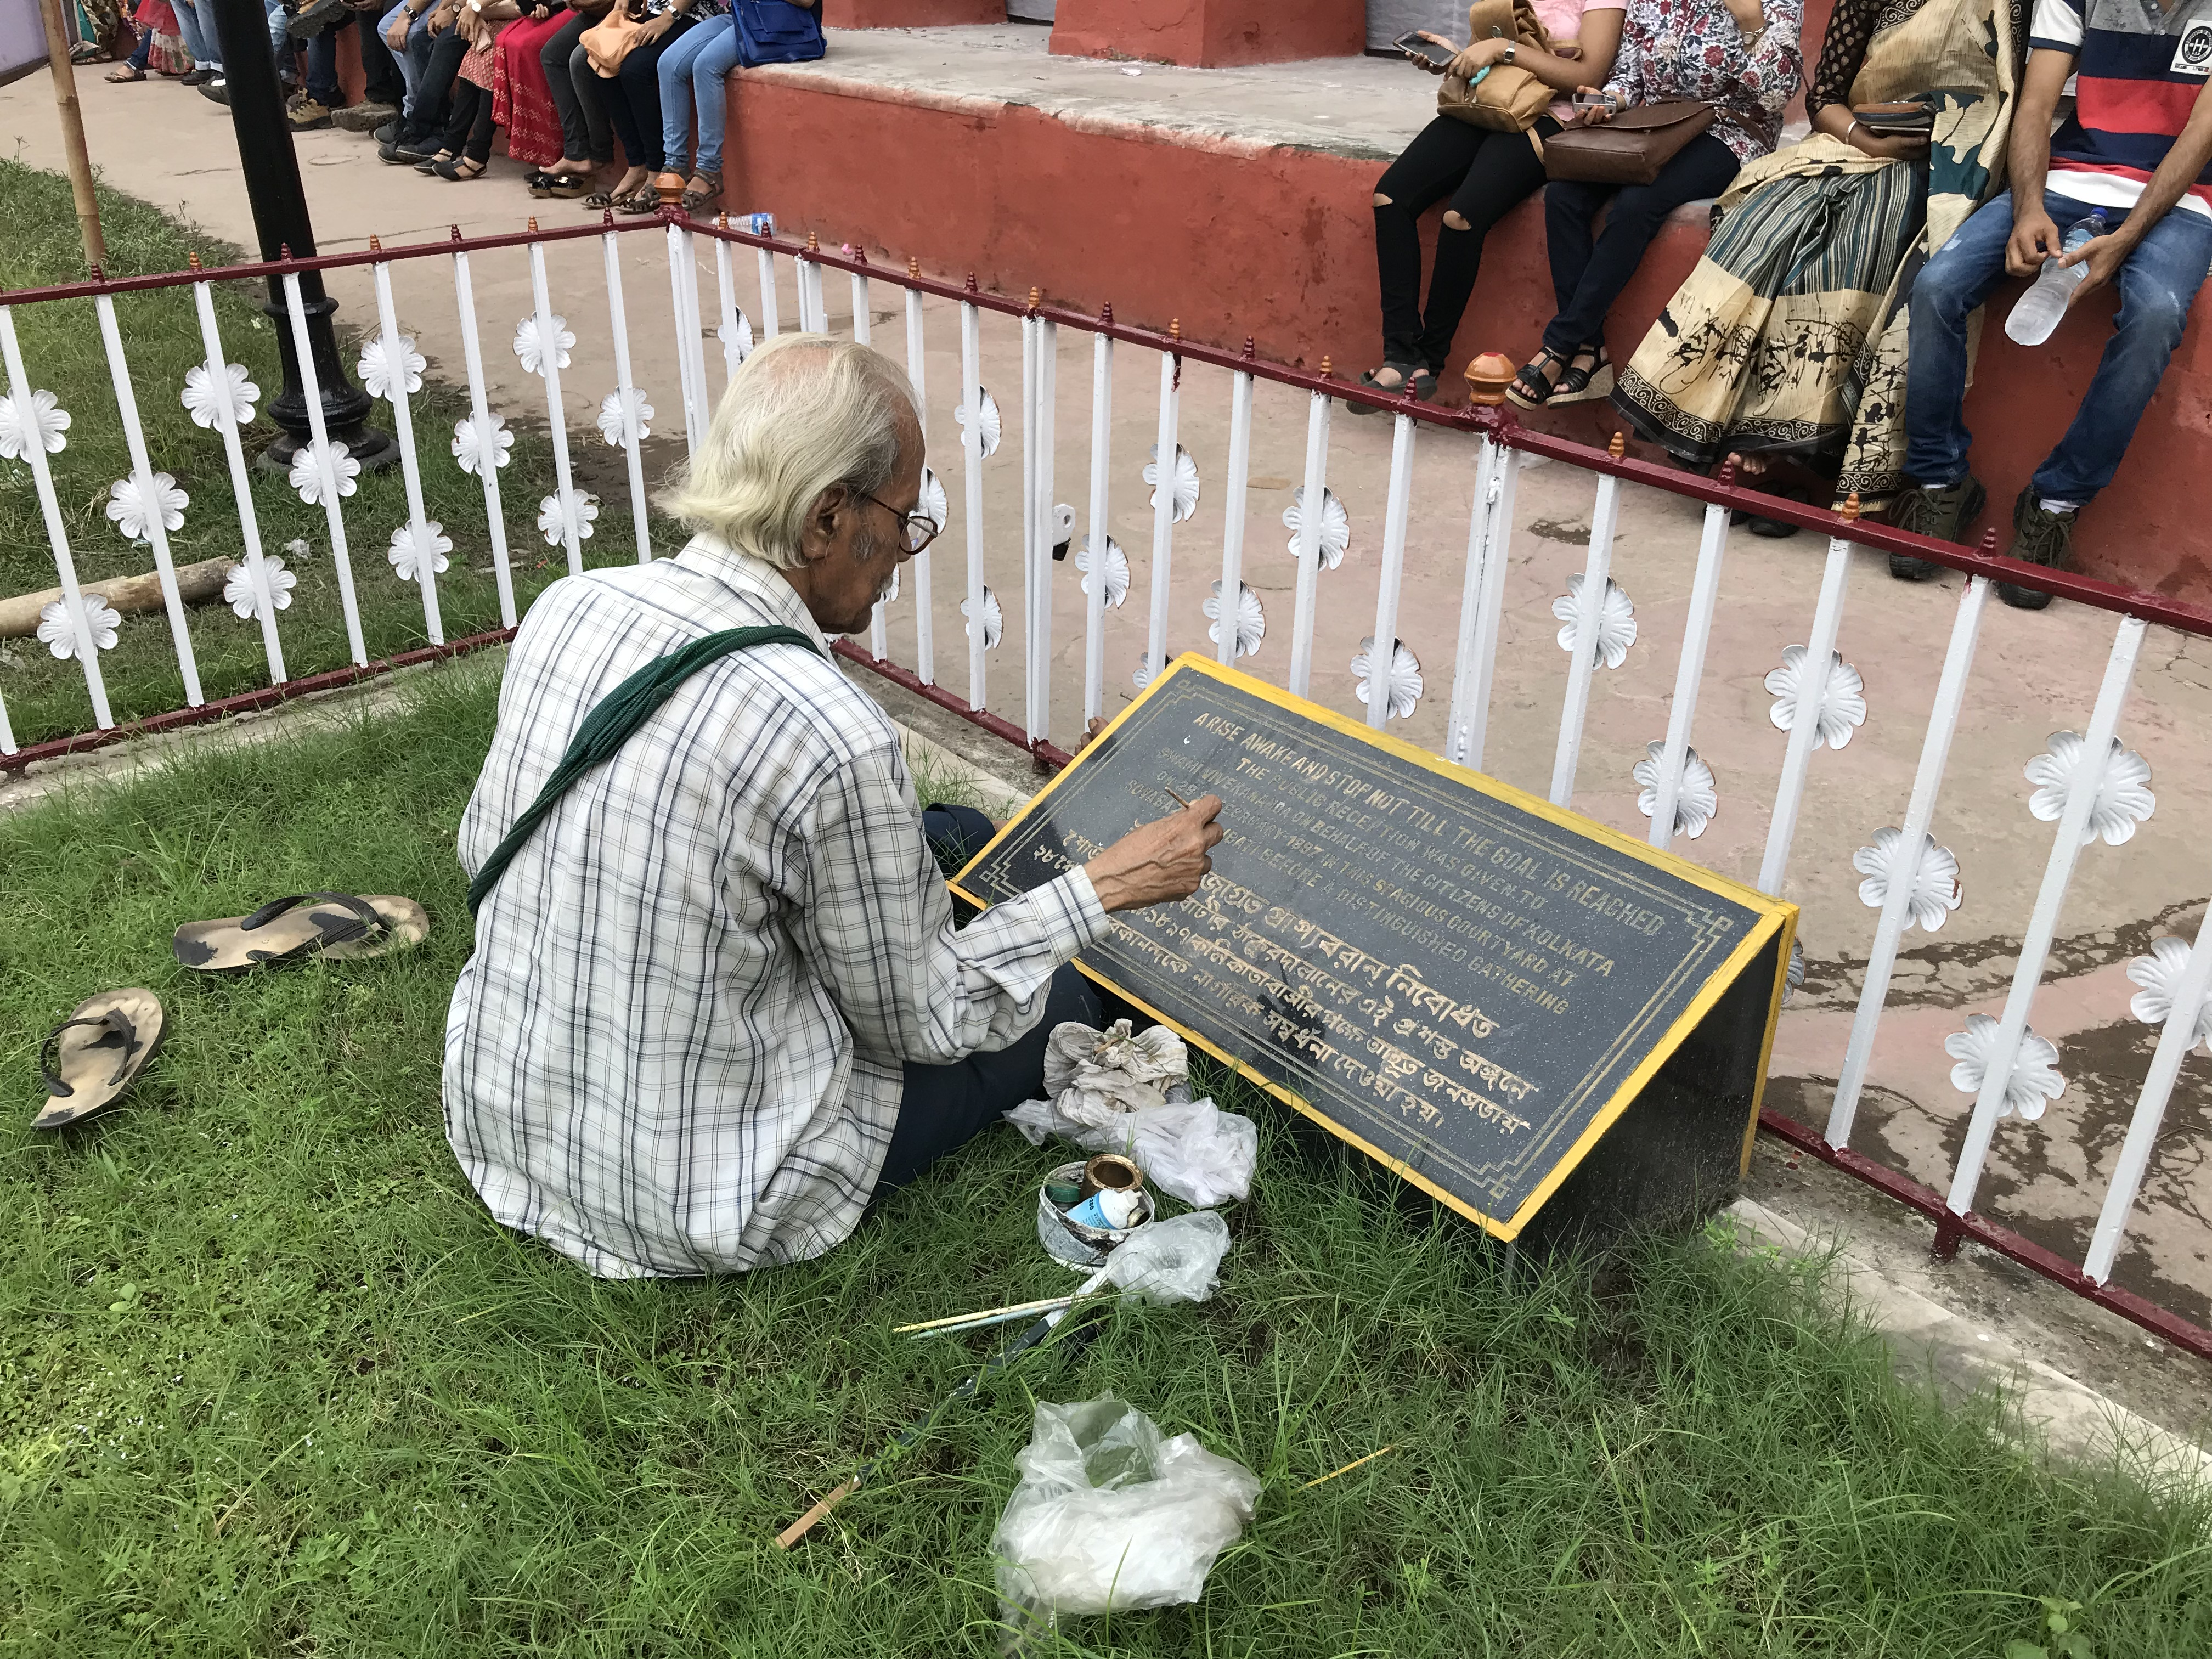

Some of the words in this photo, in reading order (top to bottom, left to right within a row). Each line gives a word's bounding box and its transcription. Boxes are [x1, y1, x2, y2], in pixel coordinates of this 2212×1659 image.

[1103, 913, 1197, 980] বকানন্দকে
[1150, 745, 1207, 782] SWAMI
[1176, 888, 1238, 936] বাটার
[1183, 703, 1248, 748] ARISE
[1187, 962, 1270, 1023] নাগরিক
[1189, 865, 1276, 925] জাগ্রত
[1197, 760, 1299, 823] VIVEKANANDA
[1224, 751, 1273, 784] THE
[1212, 792, 1291, 845] FEBRUARY
[1181, 927, 1324, 1024] কলিকাতাবাসীর
[1237, 727, 1301, 770] AWAKE
[1252, 844, 1327, 892] BEFORE
[1223, 919, 1366, 1013] ঠাকুরদানানের
[1264, 768, 1334, 813] PUBLIC
[1284, 805, 1321, 837] ON
[1279, 826, 1330, 862] 1897
[1282, 753, 1336, 786] AND
[1257, 901, 1393, 996] প্রাপ্যবরান্
[1305, 814, 1372, 861] BEHALF
[1320, 1005, 1372, 1049] পক্ষে
[1321, 764, 1379, 808] STOP
[1255, 1003, 1454, 1136] সম্বর্ধনা দেওয়া হয়।
[1334, 855, 1381, 891] THIS
[1317, 794, 1425, 858] RECEPTION
[1352, 988, 1397, 1031] এই
[1362, 841, 1395, 867] OF
[1362, 782, 1411, 820] NOT
[1358, 1032, 1436, 1091] আহূত
[1327, 881, 1477, 968] DISTINGUISHED
[1386, 854, 1429, 885] THE
[1365, 874, 1452, 930] SPACIOUS
[1389, 1015, 1464, 1064] প্রশস্ত
[1401, 802, 1456, 844] TILL
[1372, 955, 1505, 1047] নিবোধত
[1413, 844, 1468, 878] WAS
[1414, 868, 1509, 925] CITIZENS
[1443, 819, 1497, 864] THE
[1449, 857, 1525, 907] GIVEN
[1437, 907, 1553, 978] COURTYARD
[1450, 1042, 1541, 1109] অঙ্গনে
[1481, 839, 1546, 887] GOAL
[1492, 907, 1536, 935] OF
[1461, 950, 1573, 1020] GATHERING
[1516, 884, 1550, 918] TO
[1539, 865, 1576, 899] IS
[1537, 960, 1581, 994] AT
[1515, 919, 1618, 984] KOLKATA
[1555, 874, 1674, 940] REACHED
[1412, 1064, 1534, 1141] জনসভায়